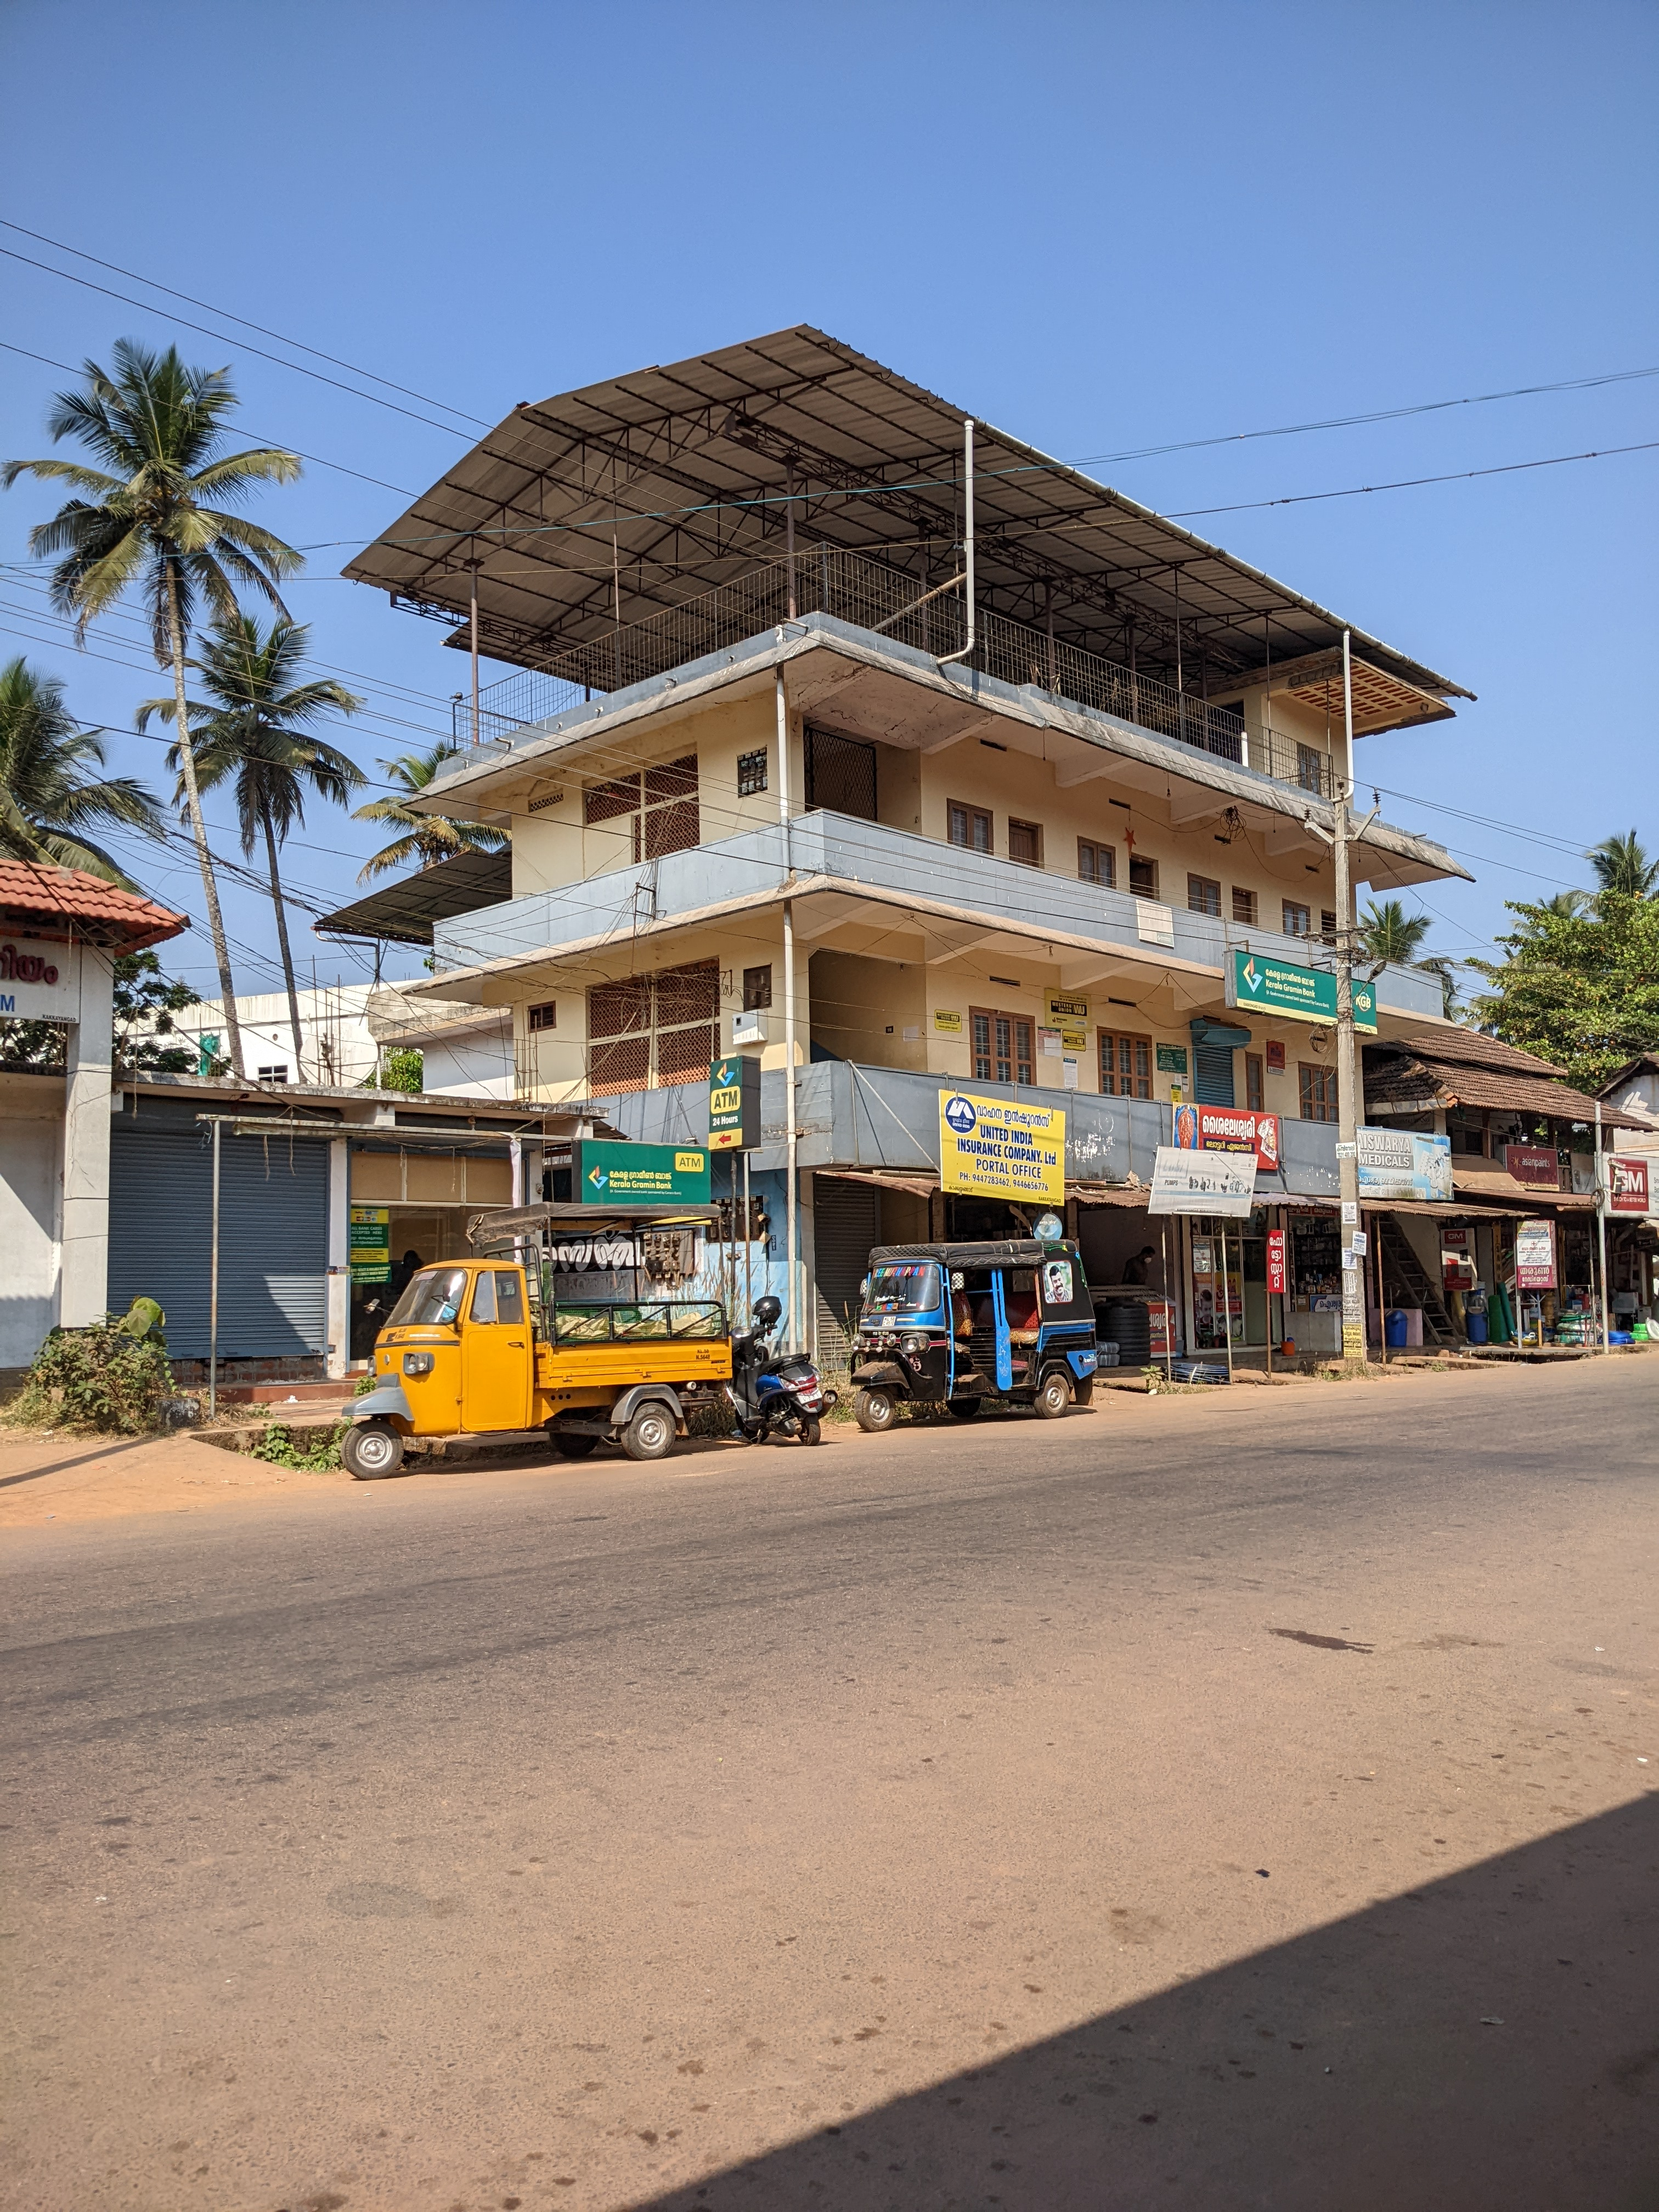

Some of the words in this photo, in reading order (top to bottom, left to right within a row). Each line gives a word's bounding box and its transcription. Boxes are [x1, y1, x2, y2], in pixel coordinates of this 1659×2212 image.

[1263, 976, 1285, 994] Kerala
[1262, 967, 1304, 988] കേരളഗ്രാമീൺമ
[1280, 981, 1305, 998] Gramin
[1296, 974, 1317, 988] ബാങ്ക്
[1301, 986, 1316, 1000] Bank
[40, 1010, 79, 1026] KAKKAYANGAD
[713, 1088, 739, 1110] ATM
[607, 1167, 631, 1183] കേരള
[608, 1177, 635, 1191] Kerala
[625, 1167, 657, 1182] ഗ്രാമീൺ
[629, 1178, 658, 1192] Gramin
[653, 1171, 673, 1183] ബാങ്ക്
[653, 1180, 674, 1191] Bank
[678, 1155, 703, 1170] ATM
[708, 1116, 721, 1128] 24
[720, 1113, 741, 1128] Hours
[954, 1136, 1005, 1160] INSURANCE
[958, 1170, 1012, 1189] PH:9447283462,
[972, 1102, 1005, 1123] വാഹന
[972, 1156, 1011, 1178] PORTAL
[978, 1123, 1011, 1144] UNITED
[1009, 1127, 1035, 1147] INDIA
[1002, 1143, 1043, 1166] COMPANY.
[1011, 1161, 1043, 1181] OFFICE
[1003, 1107, 1053, 1132] ഇൻഷൂറൻസ്
[1012, 1178, 1051, 1194] 9446656776
[1039, 1149, 1059, 1168] Ltd
[1203, 1139, 1228, 1153] ലോട്ടറിം
[1198, 1112, 1257, 1142] ശൈലേശ്വരി
[1334, 1150, 1357, 1160] 7031400200
[1355, 1151, 1412, 1169] MEDICALS
[1355, 1132, 1413, 1156] AISWARYA
[1519, 1153, 1553, 1170] asianpaints
[1266, 1234, 1284, 1290] ഫോട്ടോസ്റ്റാറ്റ
[1516, 1262, 1553, 1276] തരൂൺ
[1516, 1273, 1551, 1285] റേഡിയോസ്